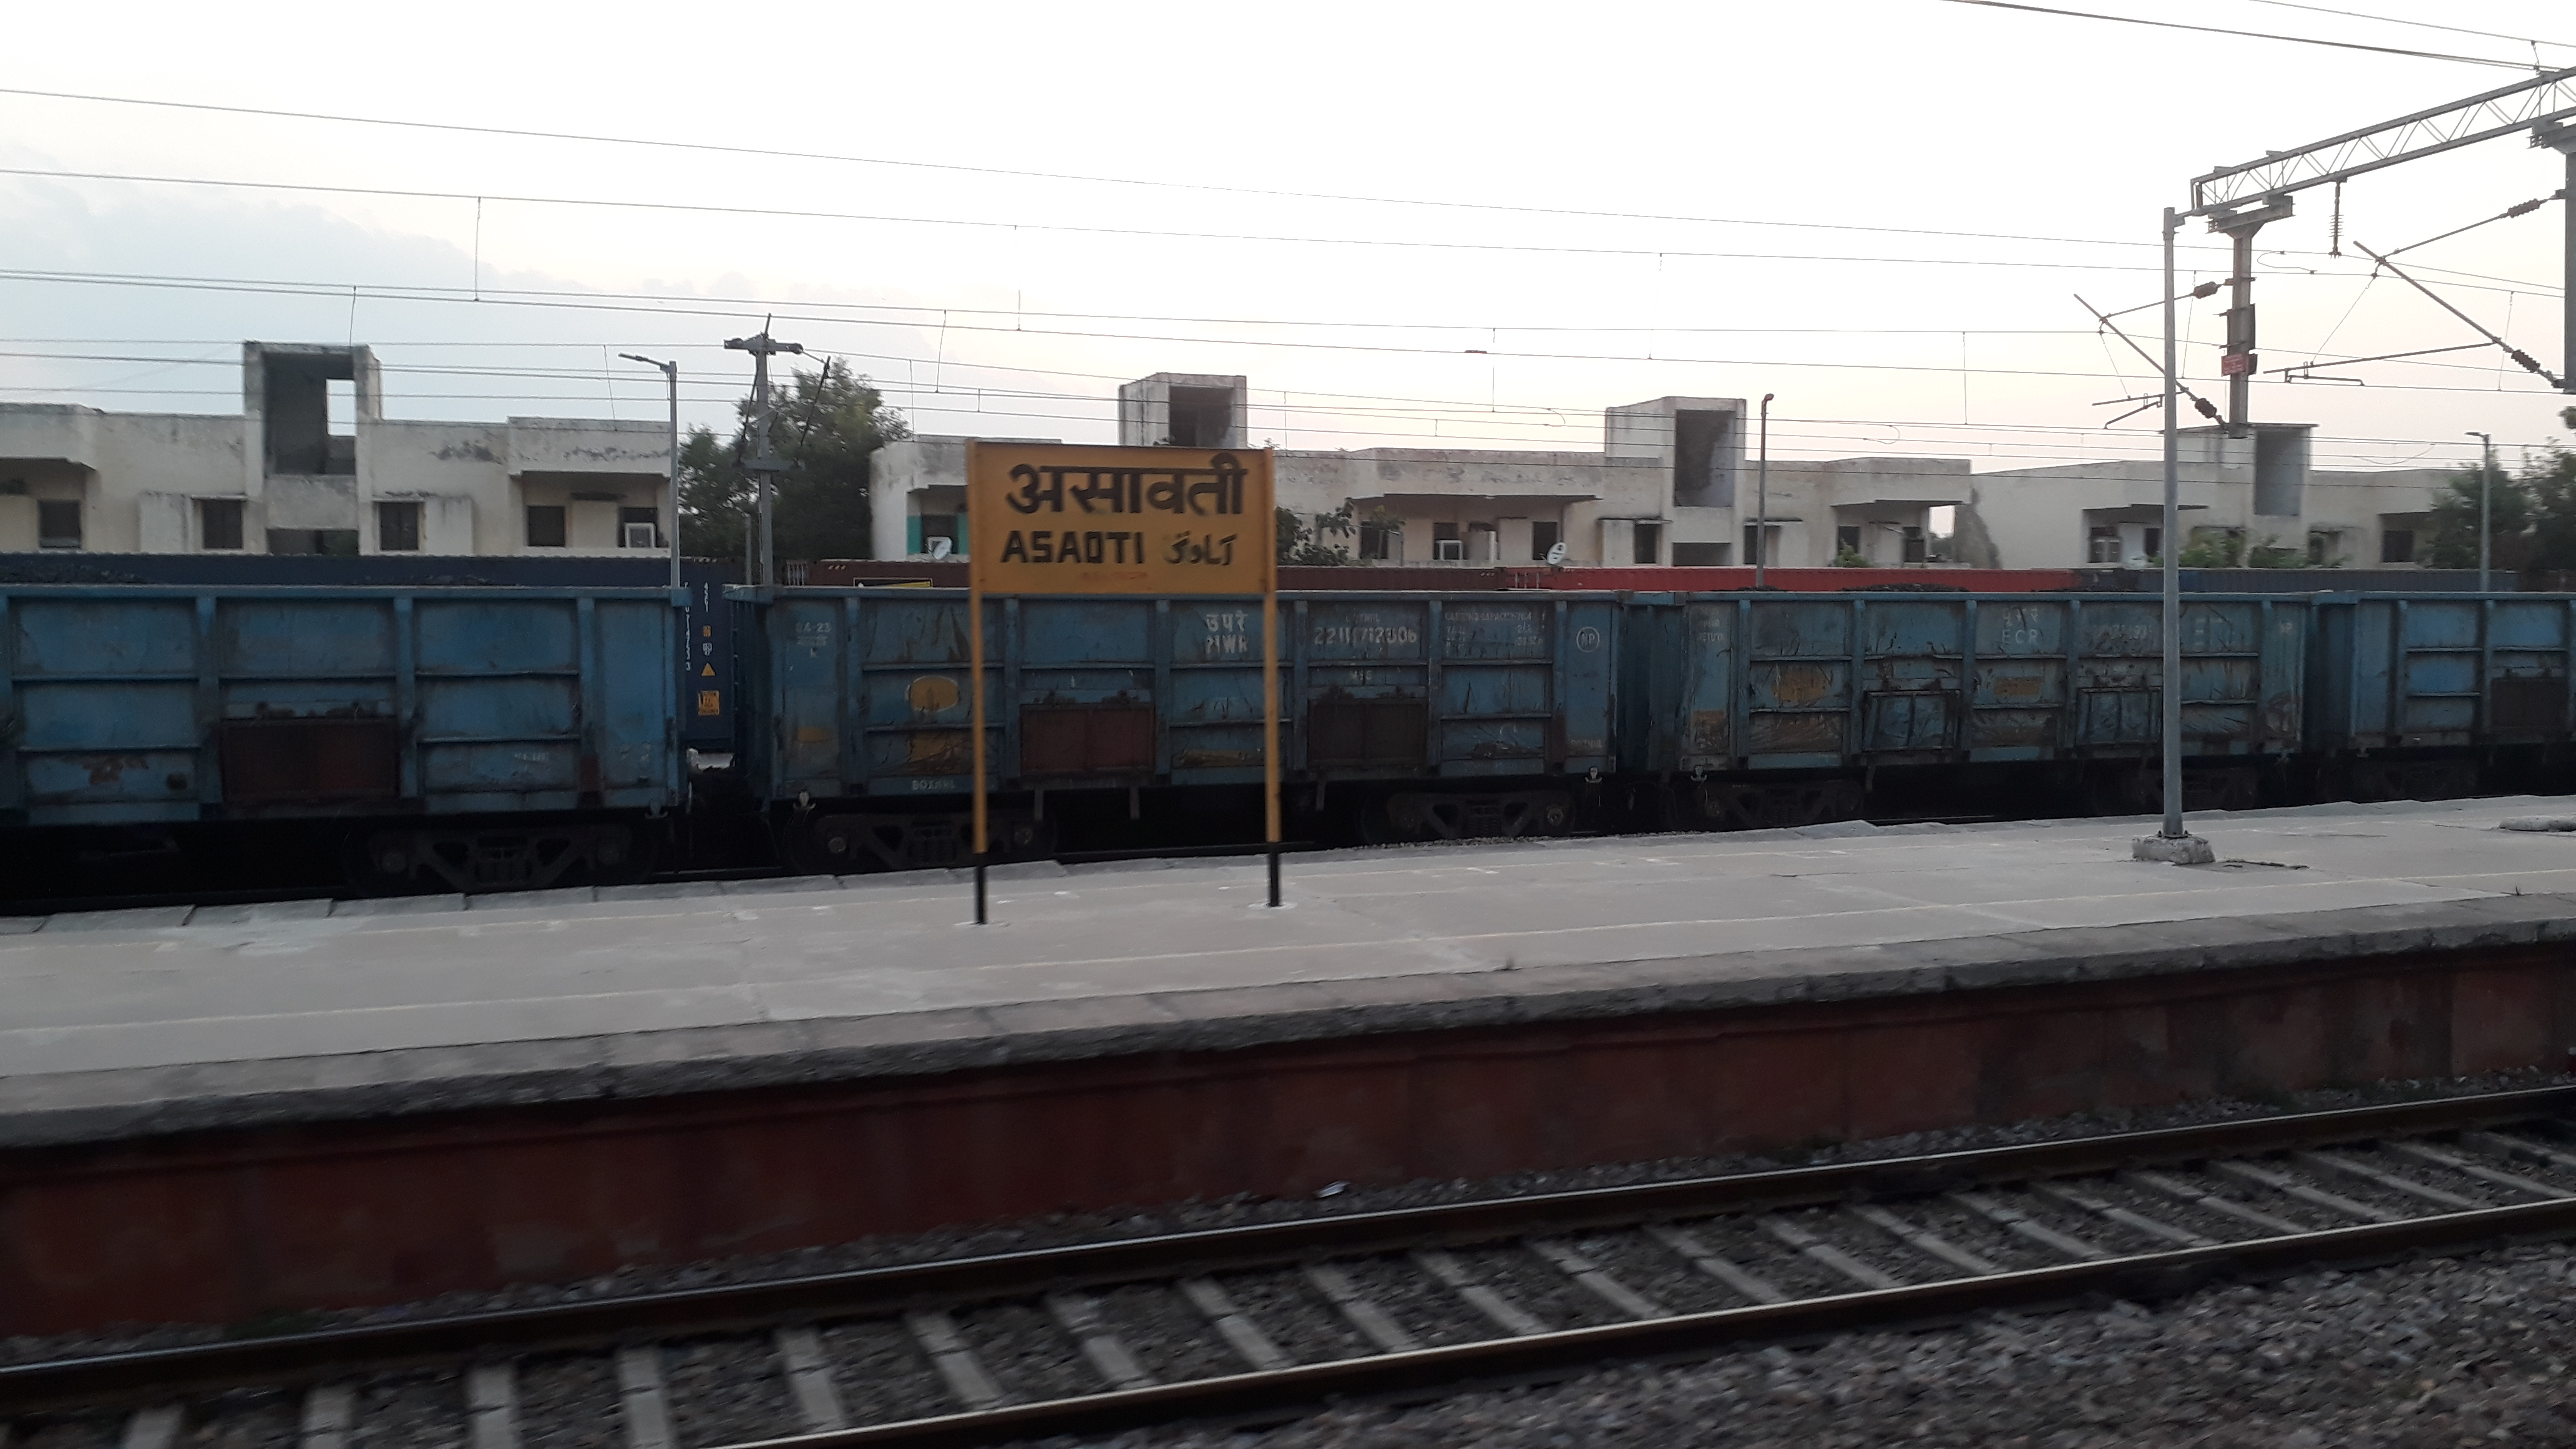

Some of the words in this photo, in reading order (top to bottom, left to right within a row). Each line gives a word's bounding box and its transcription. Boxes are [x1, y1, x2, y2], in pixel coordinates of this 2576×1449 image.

[1002, 450, 1250, 515] असावती
[997, 529, 1146, 565] ASAOTI